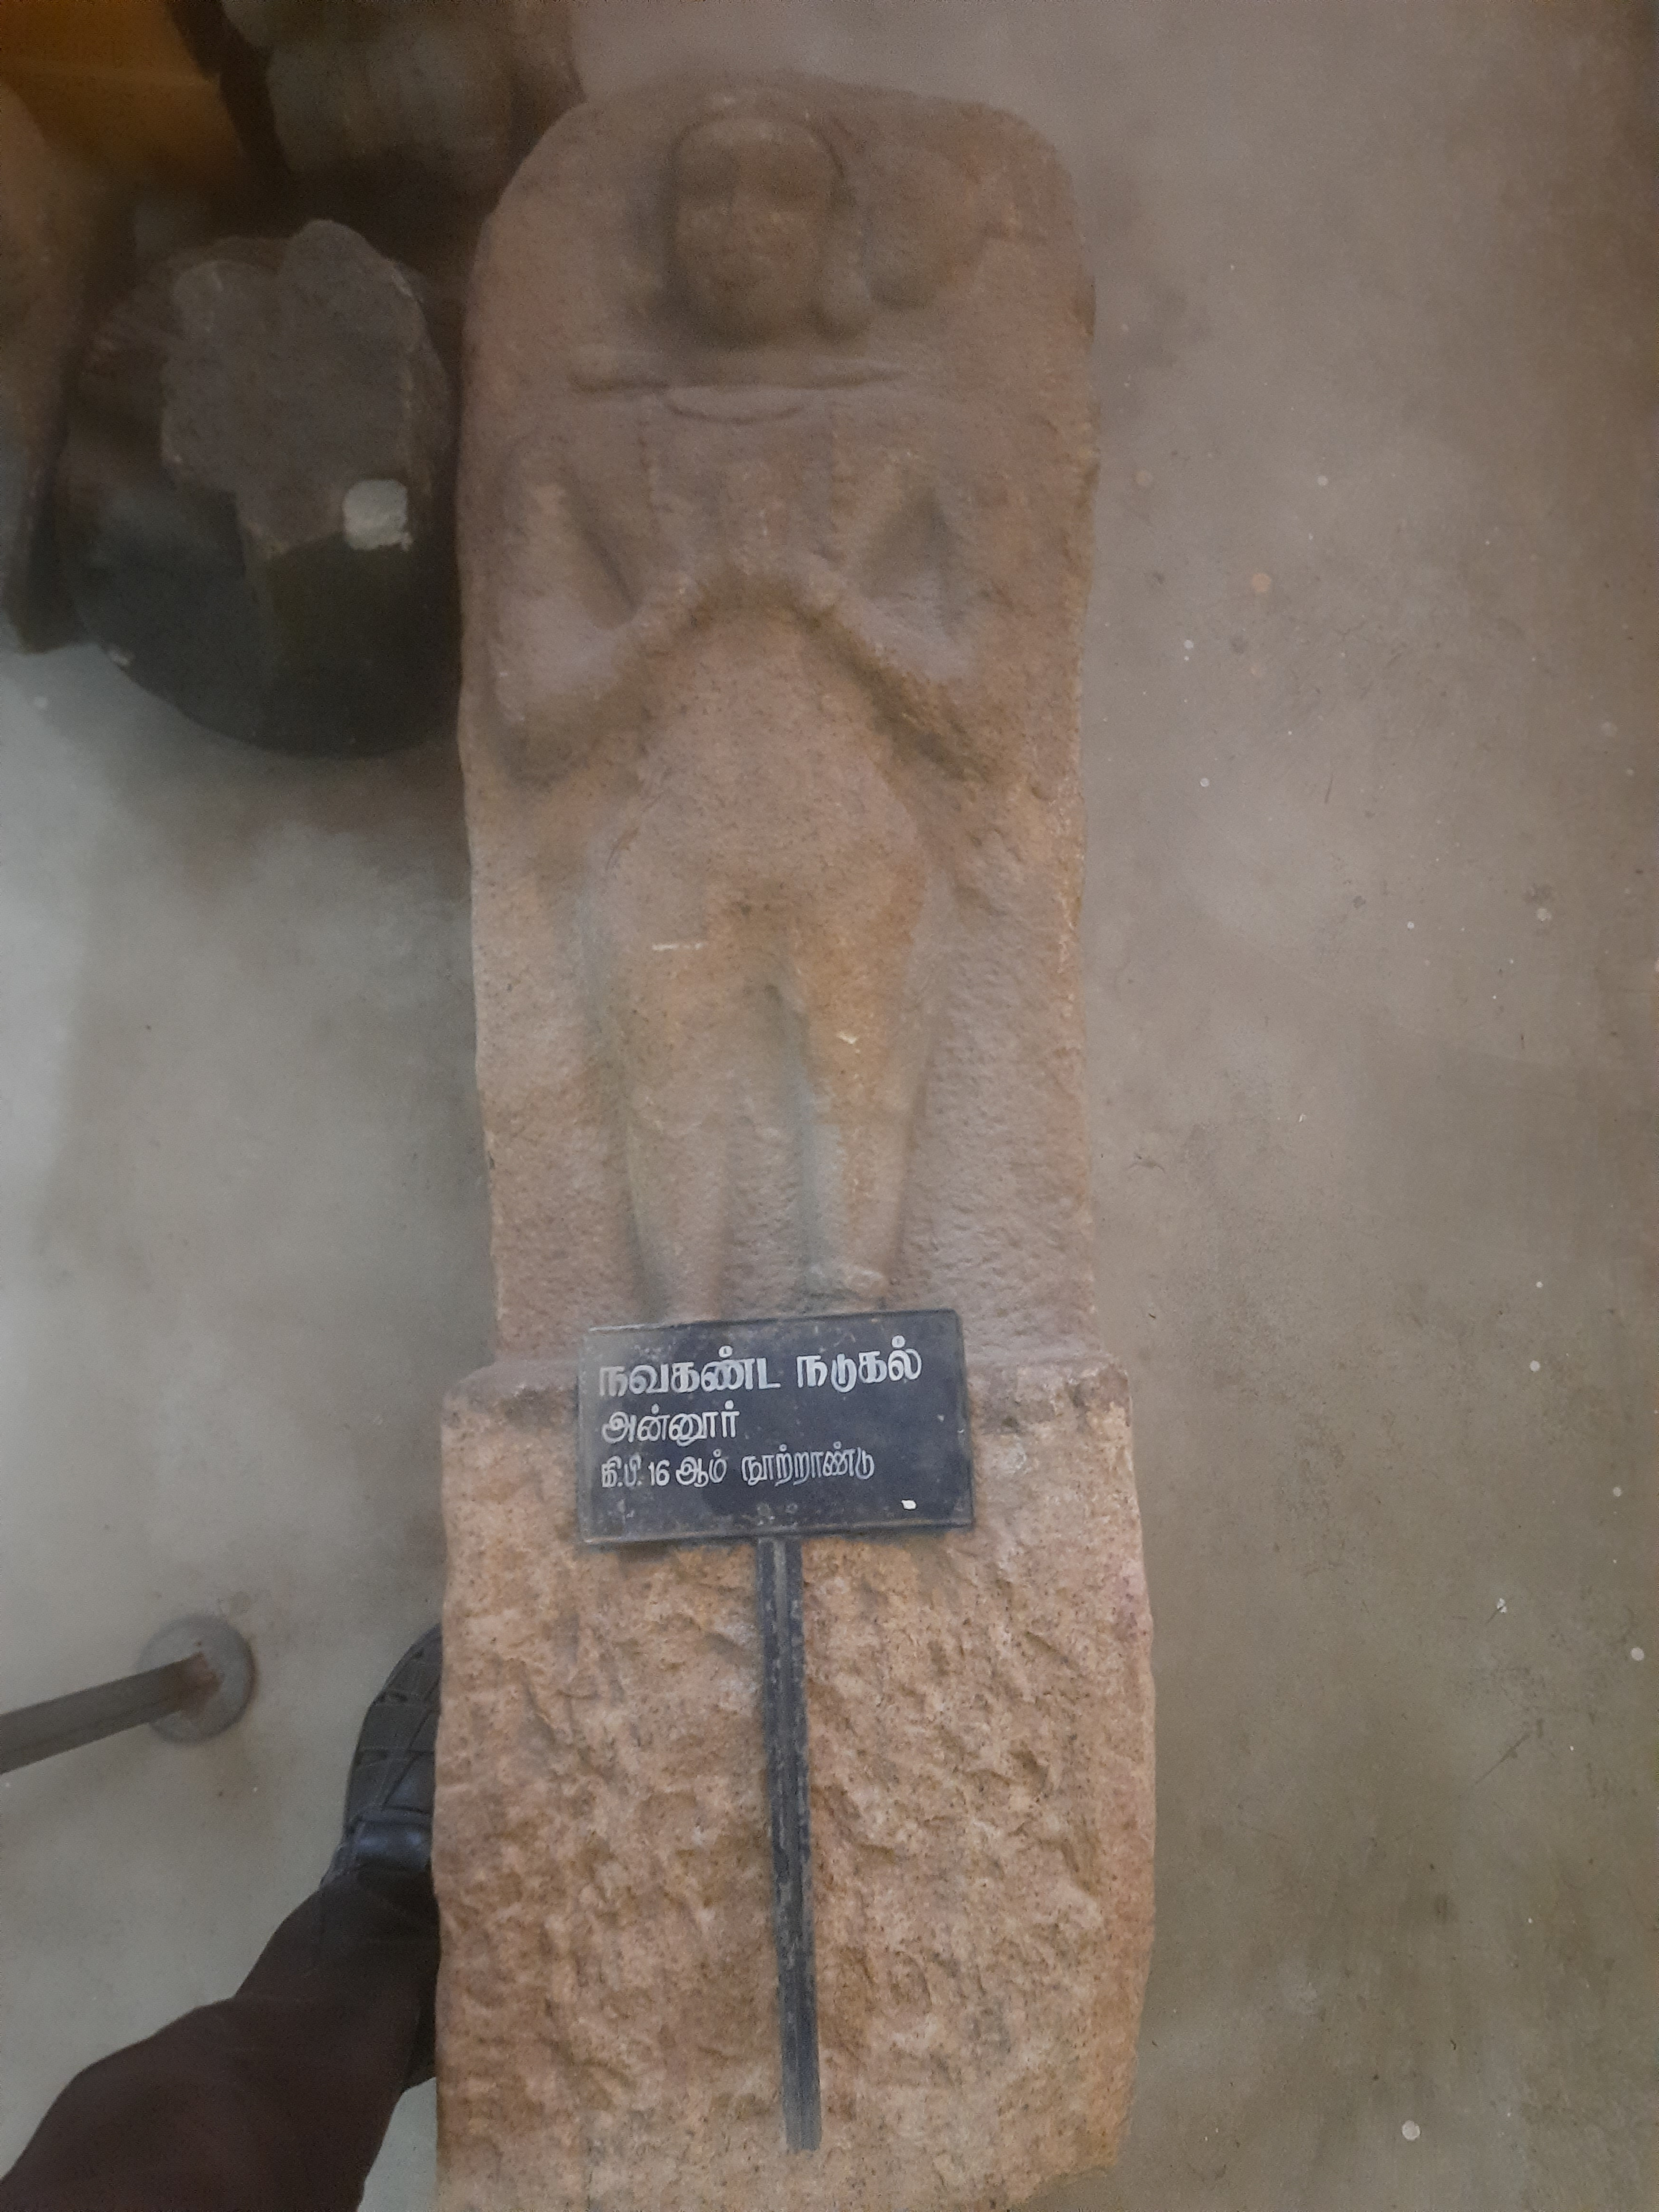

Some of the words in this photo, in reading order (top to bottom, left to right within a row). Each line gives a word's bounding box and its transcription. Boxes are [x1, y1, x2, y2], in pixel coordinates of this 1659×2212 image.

[592, 1340, 785, 1397] நவகண்ட
[793, 1332, 930, 1399] நடுகல்
[596, 1396, 745, 1453] அன்னூா்
[598, 1441, 733, 1495] கி.பி. 16 ஆம்
[737, 1437, 879, 1493] நூற்றாண்டு